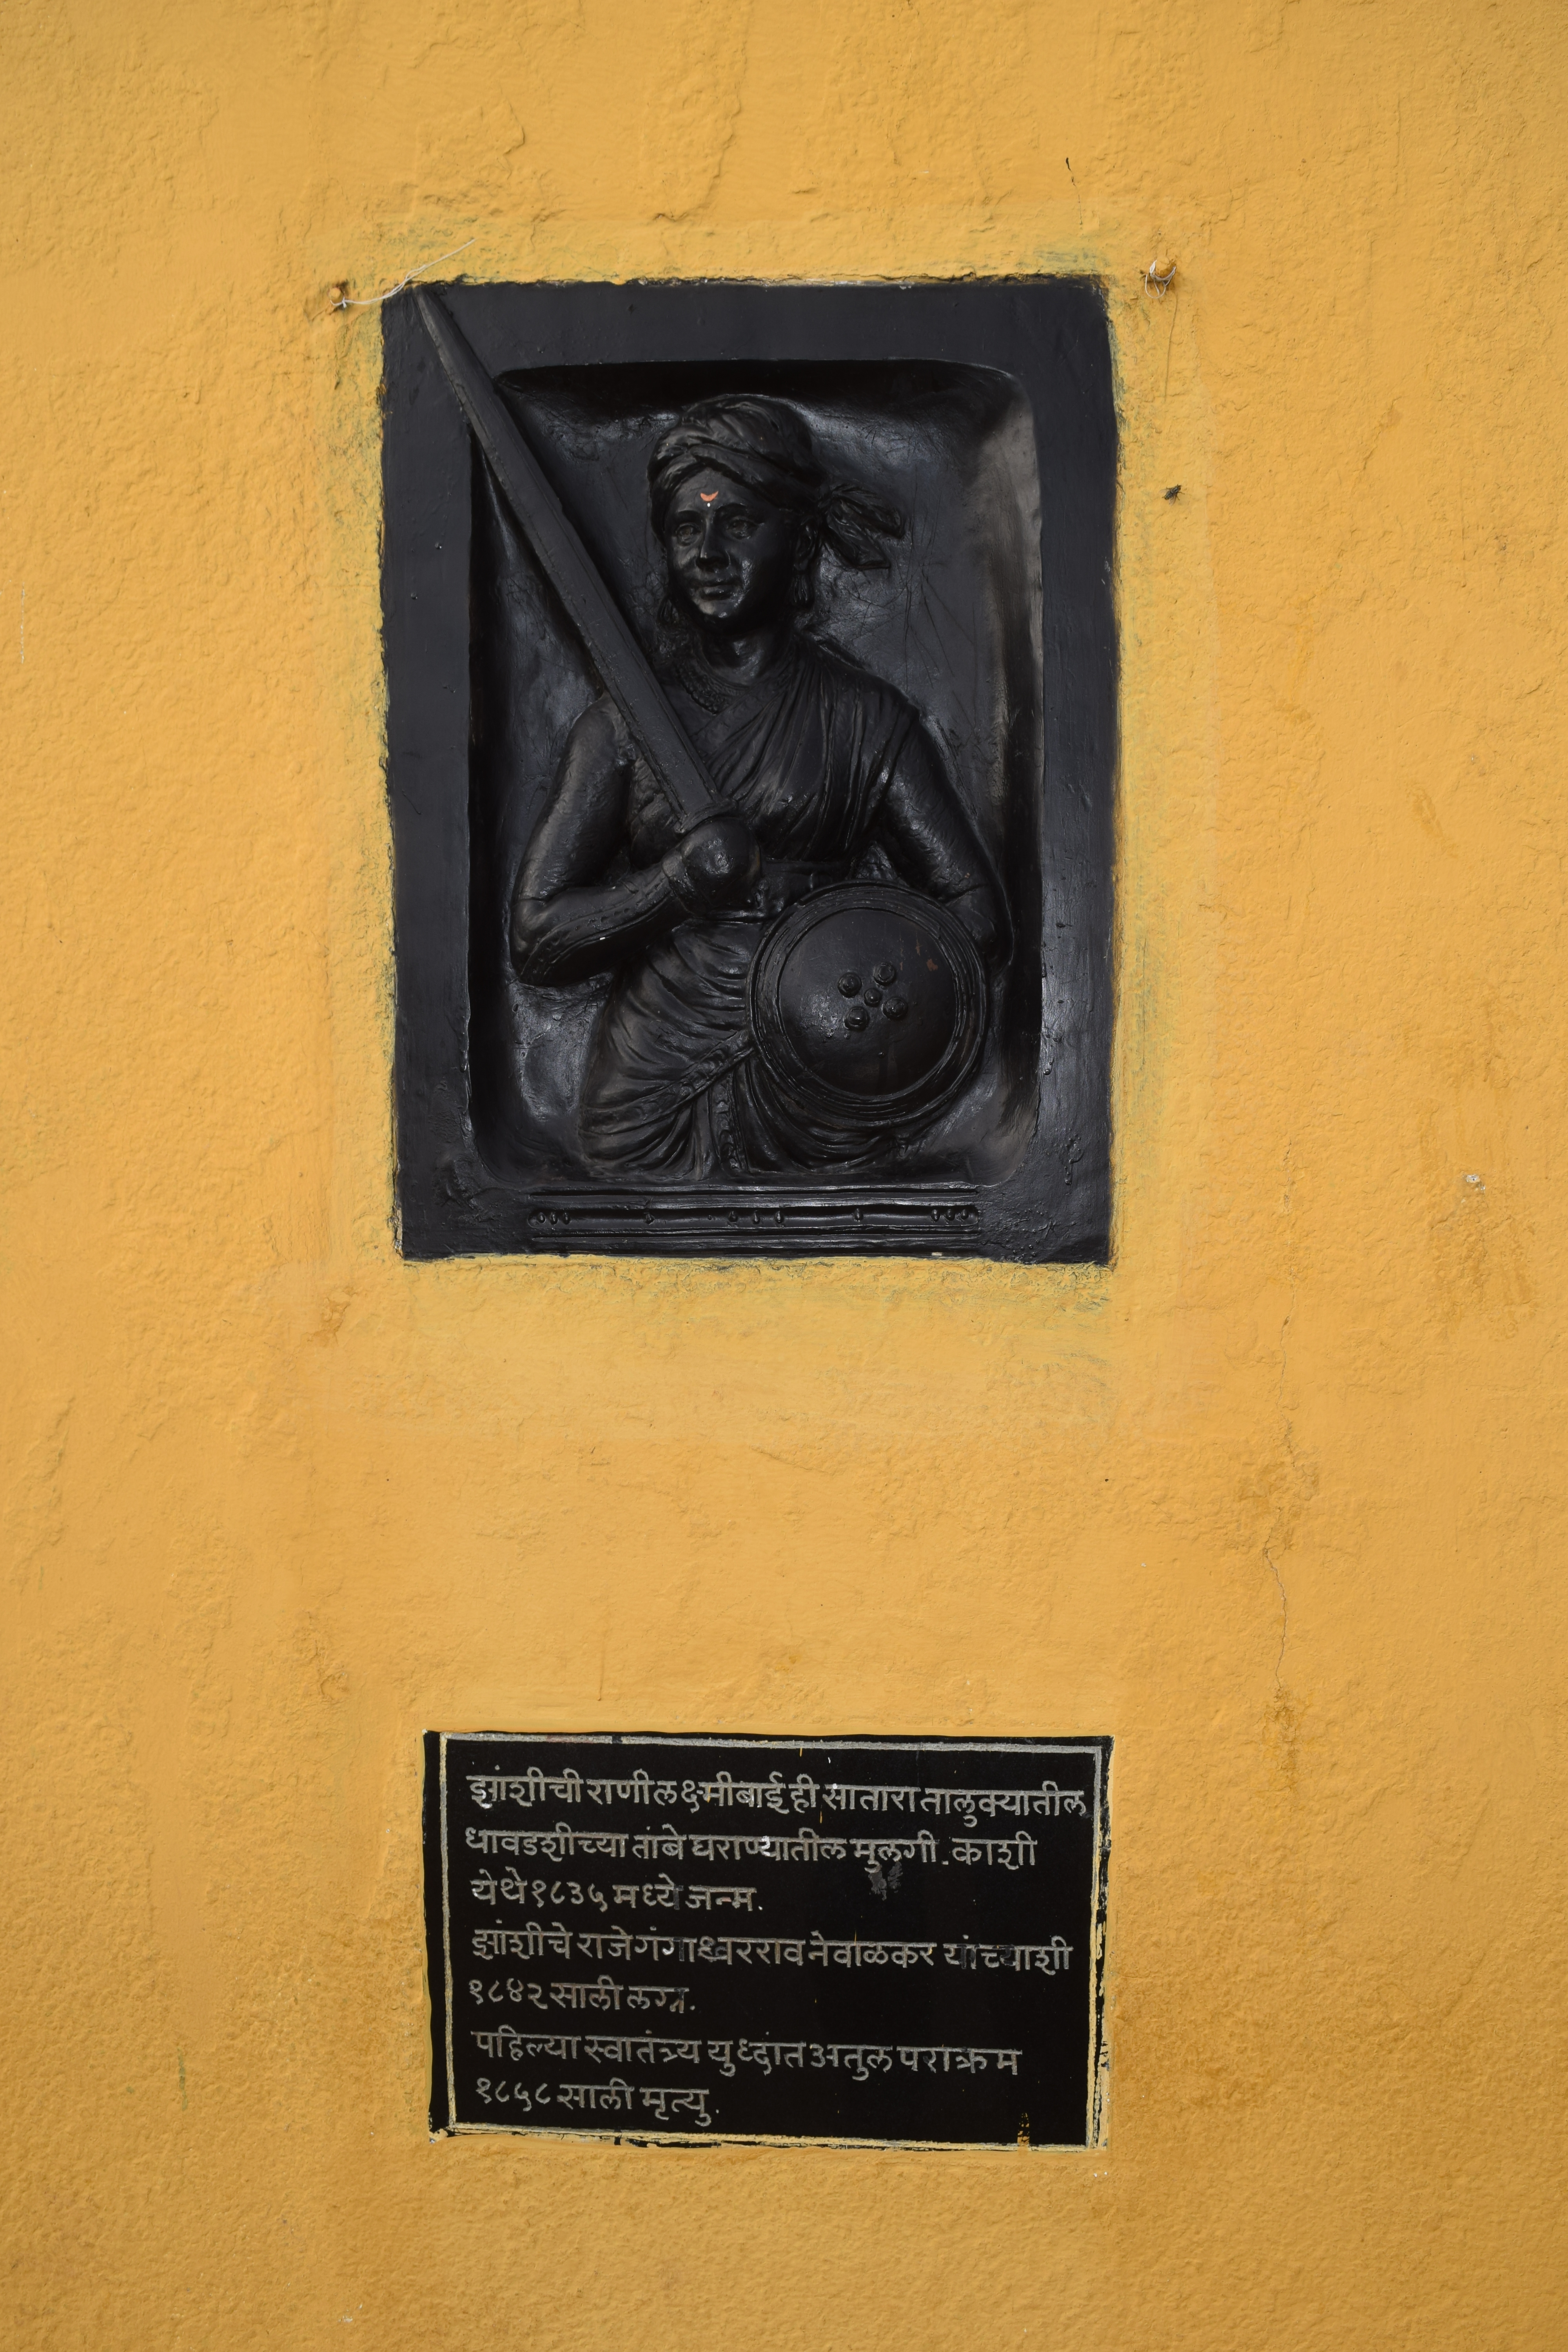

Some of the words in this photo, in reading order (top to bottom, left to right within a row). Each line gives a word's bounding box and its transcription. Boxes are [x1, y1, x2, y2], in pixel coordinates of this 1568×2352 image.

[462, 1761, 588, 1815] झांशीची
[583, 1764, 795, 1818] राणी लक्ष्मीबाई
[786, 1768, 822, 1817] ही
[818, 1777, 923, 1819] सातारा
[919, 1776, 1091, 1832] तालुक्यातील
[457, 1819, 632, 1868] धावडशीच्या
[630, 1819, 690, 1864] तांबे
[688, 1821, 849, 1866] घराण्यातील
[848, 1825, 954, 1878] मुलगी.
[946, 1826, 1046, 1876] काशी
[463, 1861, 529, 1907] येथे
[528, 1874, 613, 1920] १८३५
[608, 1869, 687, 1915] मध्ये
[684, 1883, 768, 1916] जन्म.
[465, 1915, 575, 1966] झांशीचे
[574, 1920, 635, 1967] राजे
[632, 1923, 809, 1972] गंगाध्वरराव
[806, 1927, 940, 1973] नेवाळकर
[938, 1930, 1080, 1983] यांच्याशी
[462, 1974, 554, 2017] १८४२
[544, 1970, 626, 2017] साली
[623, 1980, 700, 2019] लग्न.
[465, 2022, 583, 2068] पहिल्या
[581, 2024, 707, 2071] स्वातंत्र्य
[705, 2033, 737, 2082] यु
[735, 2034, 808, 2078] ध्दात
[806, 2036, 897, 2088] अतुल
[894, 2038, 1029, 2079] पराक्रम
[469, 2072, 554, 2118] १८५८
[552, 2075, 639, 2114] साली
[637, 2082, 726, 2131] मृत्यु